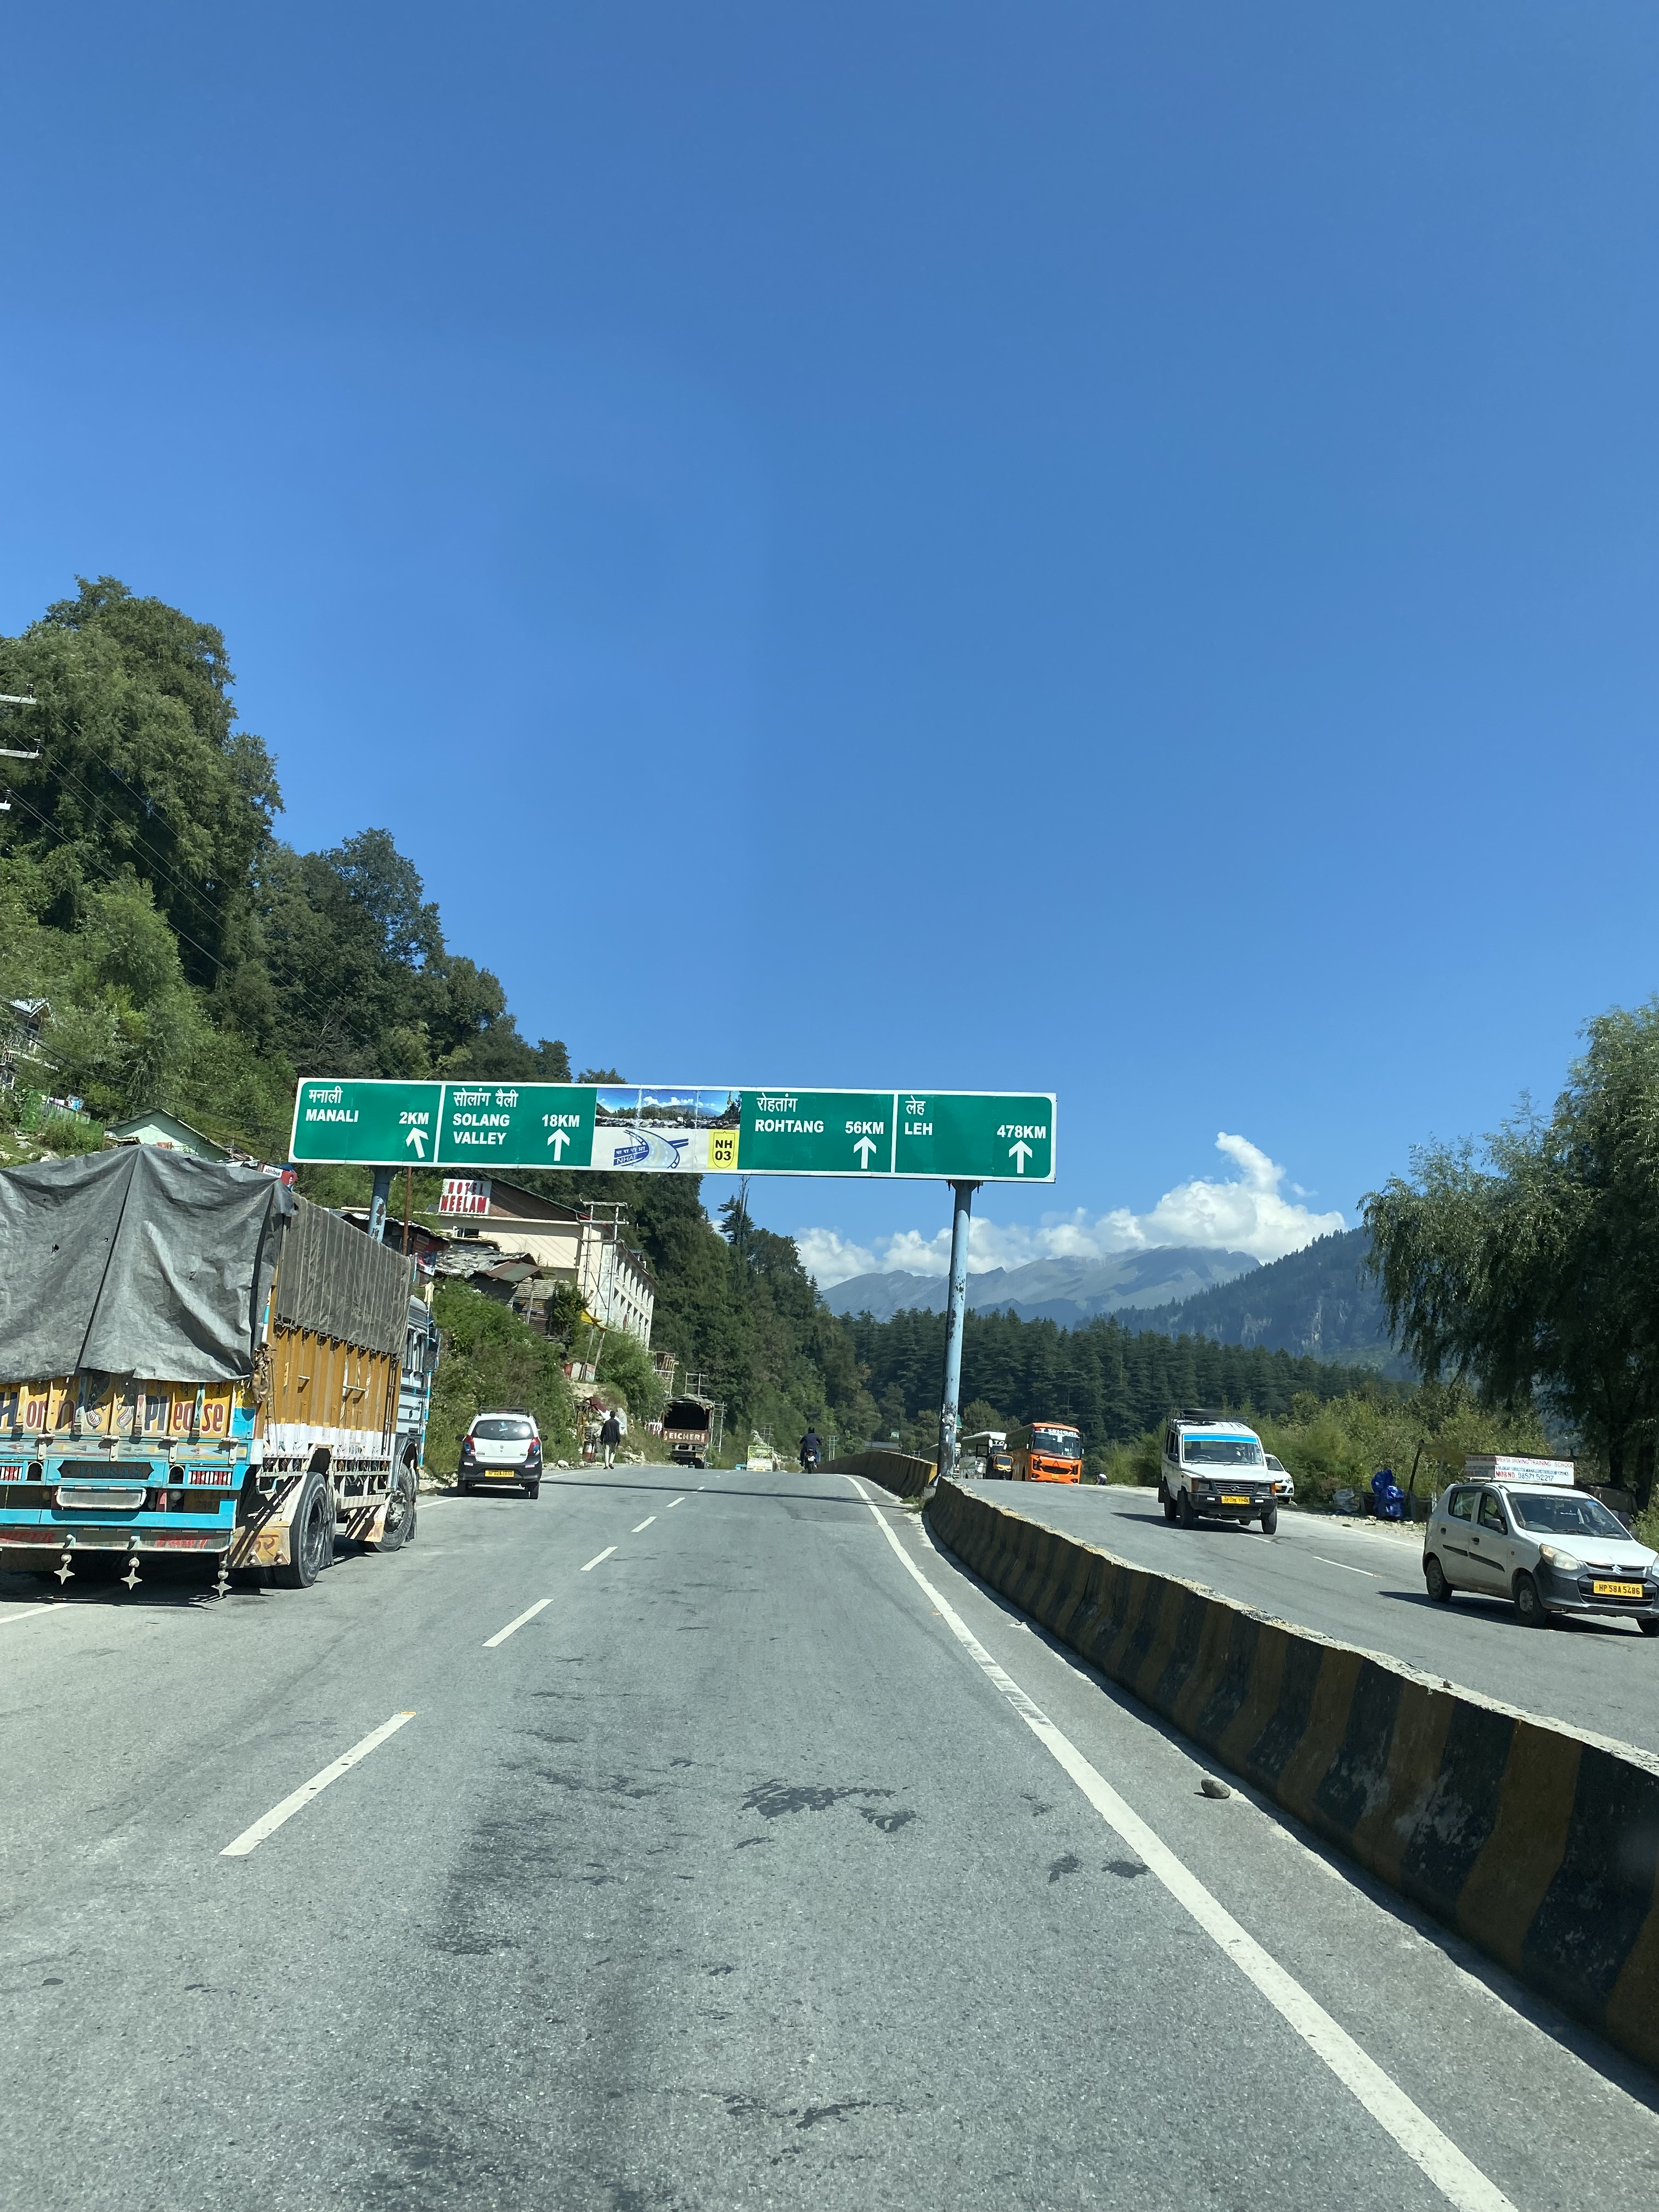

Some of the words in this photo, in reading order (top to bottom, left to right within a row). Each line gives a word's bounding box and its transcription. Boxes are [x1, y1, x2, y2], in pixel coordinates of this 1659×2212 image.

[306, 1080, 348, 1106] मनाली
[449, 1083, 495, 1111] सोलांग
[490, 1082, 523, 1113] वैली
[749, 1088, 803, 1114] रोहतांग
[898, 1085, 935, 1118] लेह
[301, 1104, 362, 1128] MANALI
[395, 1108, 432, 1131] 2KM
[449, 1127, 509, 1148] VALLEY
[449, 1106, 516, 1130] SOLANG
[540, 1108, 587, 1135] 18KM
[754, 1113, 826, 1136] ROHTANG
[839, 1116, 890, 1140] 56KM
[900, 1117, 938, 1141] LEH
[994, 1120, 1049, 1147] 478KM